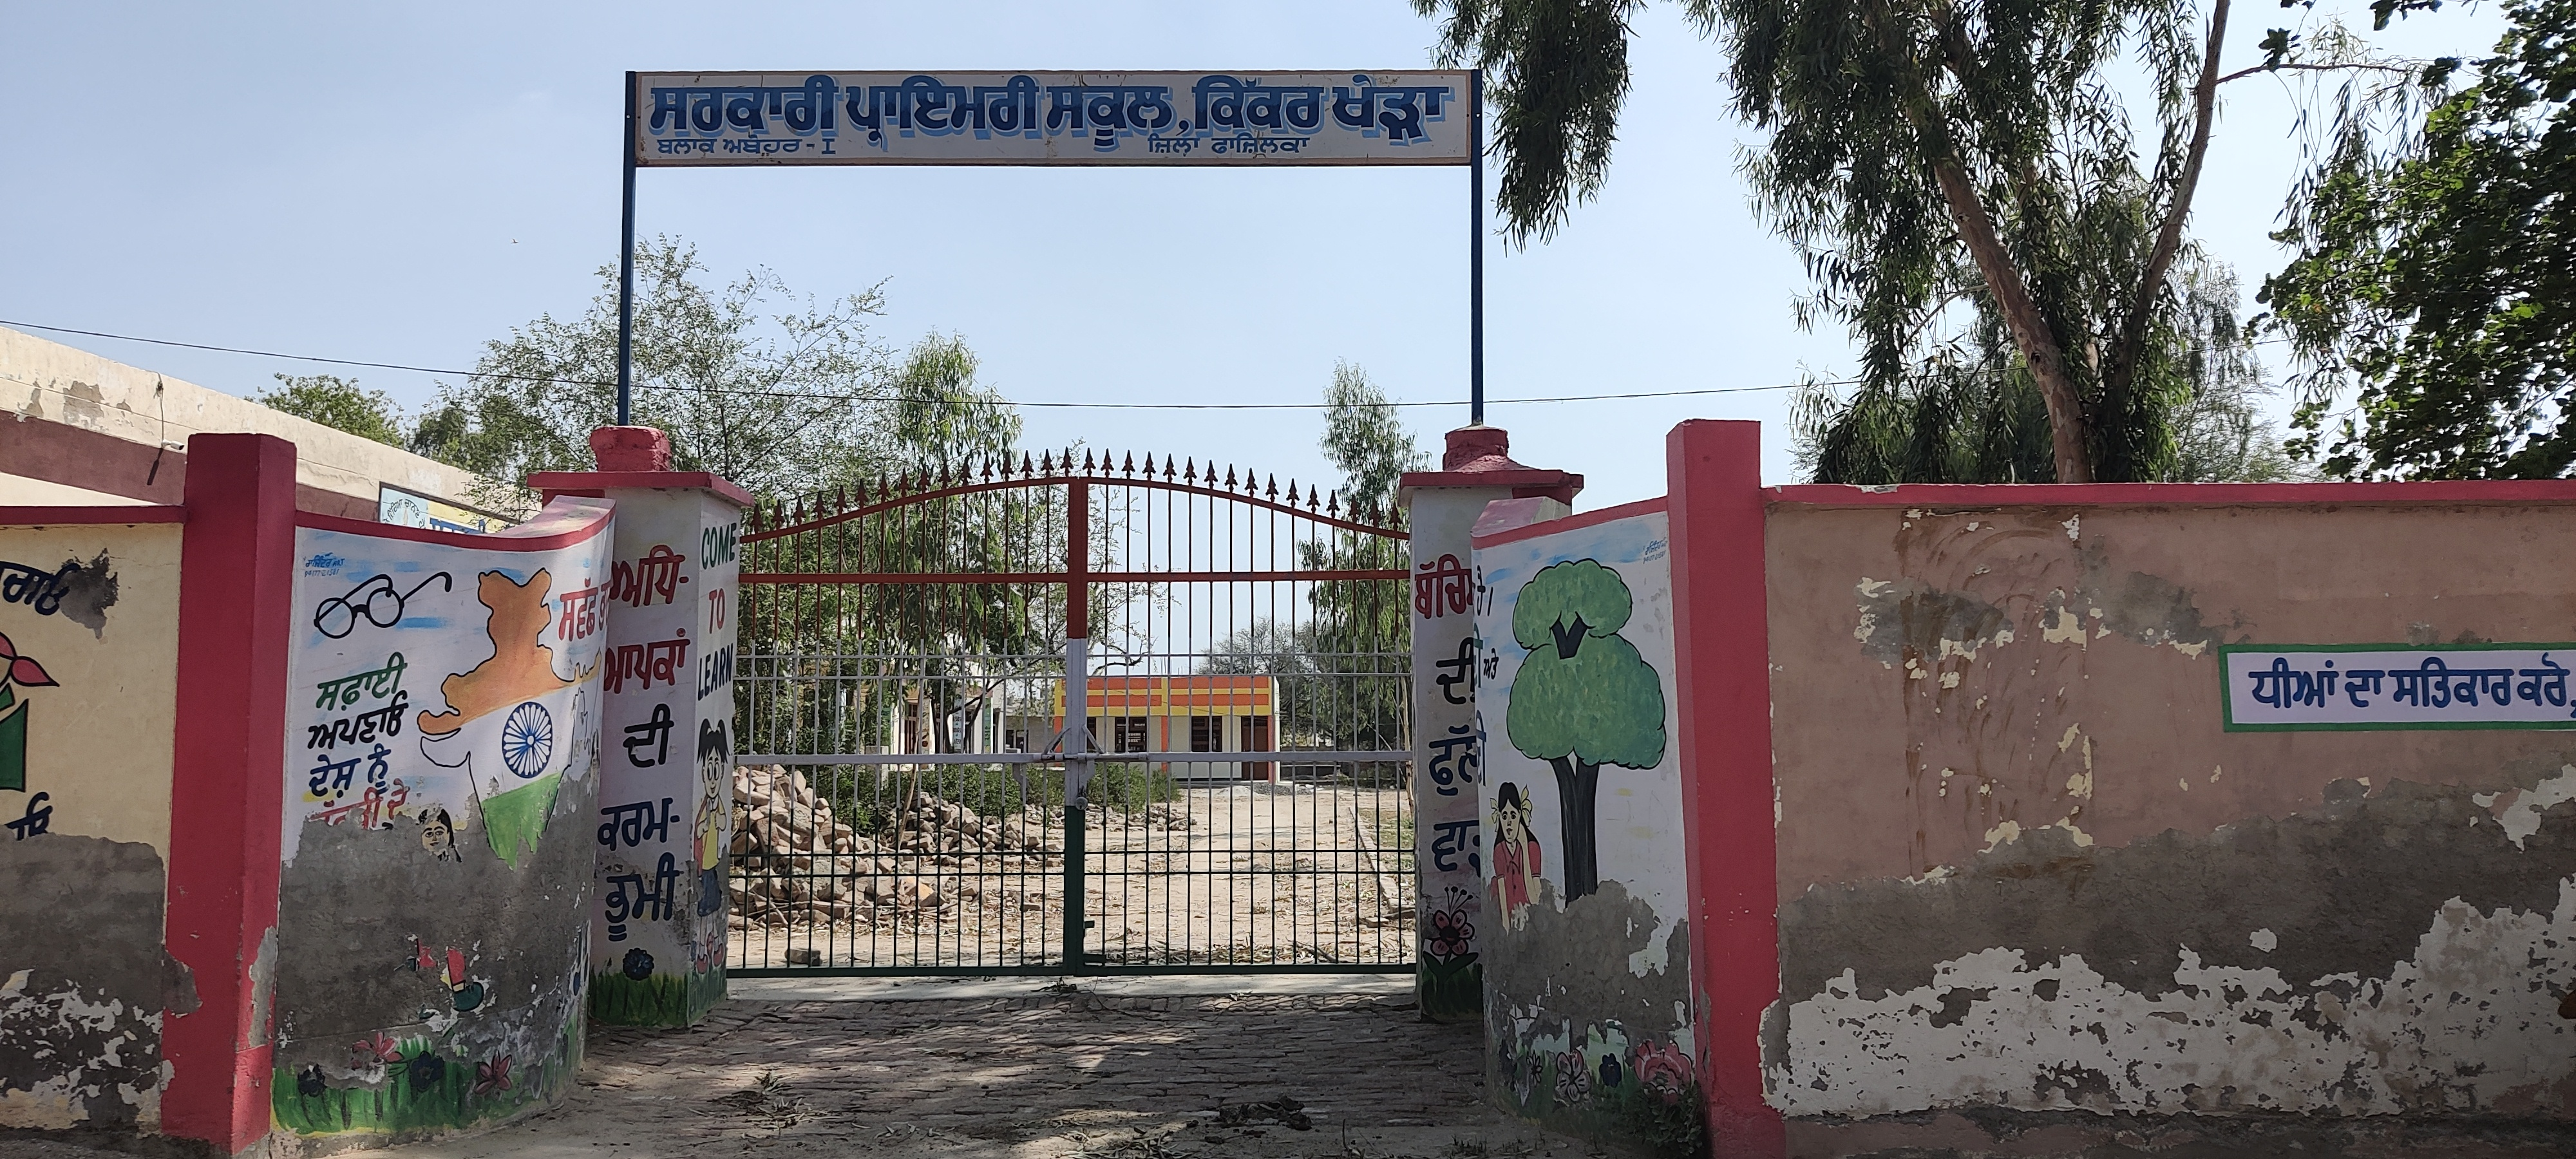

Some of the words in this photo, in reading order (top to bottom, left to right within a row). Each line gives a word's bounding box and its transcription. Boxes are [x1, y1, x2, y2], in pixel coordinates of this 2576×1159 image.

[653, 137, 719, 156] ਬਲਾਕ
[645, 73, 844, 138] ਸਰਕਾਰੀ
[717, 131, 804, 158] ਅਬੋਹਰ
[817, 137, 840, 157] I
[841, 71, 1045, 153] ਪ੍ਰਾਇਮਰੀ
[1042, 82, 1184, 156] ਸਕੂਲ
[1144, 131, 1204, 158] ਜ਼ਿਲ੍ਹਾ
[1187, 72, 1330, 137] ਕਿੱਕਰ
[1207, 130, 1314, 157] ਫਾਜਿਲਕਾ
[1326, 70, 1460, 153] ਖੇੜਾ
[1, 554, 90, 621] ਗ
[553, 576, 600, 646] ਸਵੱਛ
[611, 541, 694, 614] ਅਧਿ-
[696, 518, 741, 577] COME
[703, 583, 735, 639] TO
[1414, 547, 1473, 624] ਬੱਚਿ
[1473, 563, 1490, 619] ਹੈ
[303, 749, 363, 801] ਦੇਸ
[302, 686, 415, 754] ਅਪਣਾਓ
[311, 646, 415, 716] ਸਫ਼ਾਈ
[363, 739, 395, 795] ਨੁੰ
[601, 625, 694, 698] ਮਾਪਕਾਂ
[617, 698, 682, 774] ਦੀ
[694, 640, 736, 704] LEARN
[1425, 633, 1474, 713] ਦੀ
[1422, 718, 1477, 800] ਫੁੱ
[2242, 655, 2342, 719] ਧੀਆਂ
[2340, 663, 2388, 712] ਦਾ
[2386, 652, 2516, 717] ਸਤਿਕਾਰ
[2516, 651, 2573, 715] ਕਰੋ
[594, 793, 688, 855] ਕਰਮ-
[1428, 813, 1473, 875] ਵਾ
[599, 848, 685, 947] ਭੂਮੀ